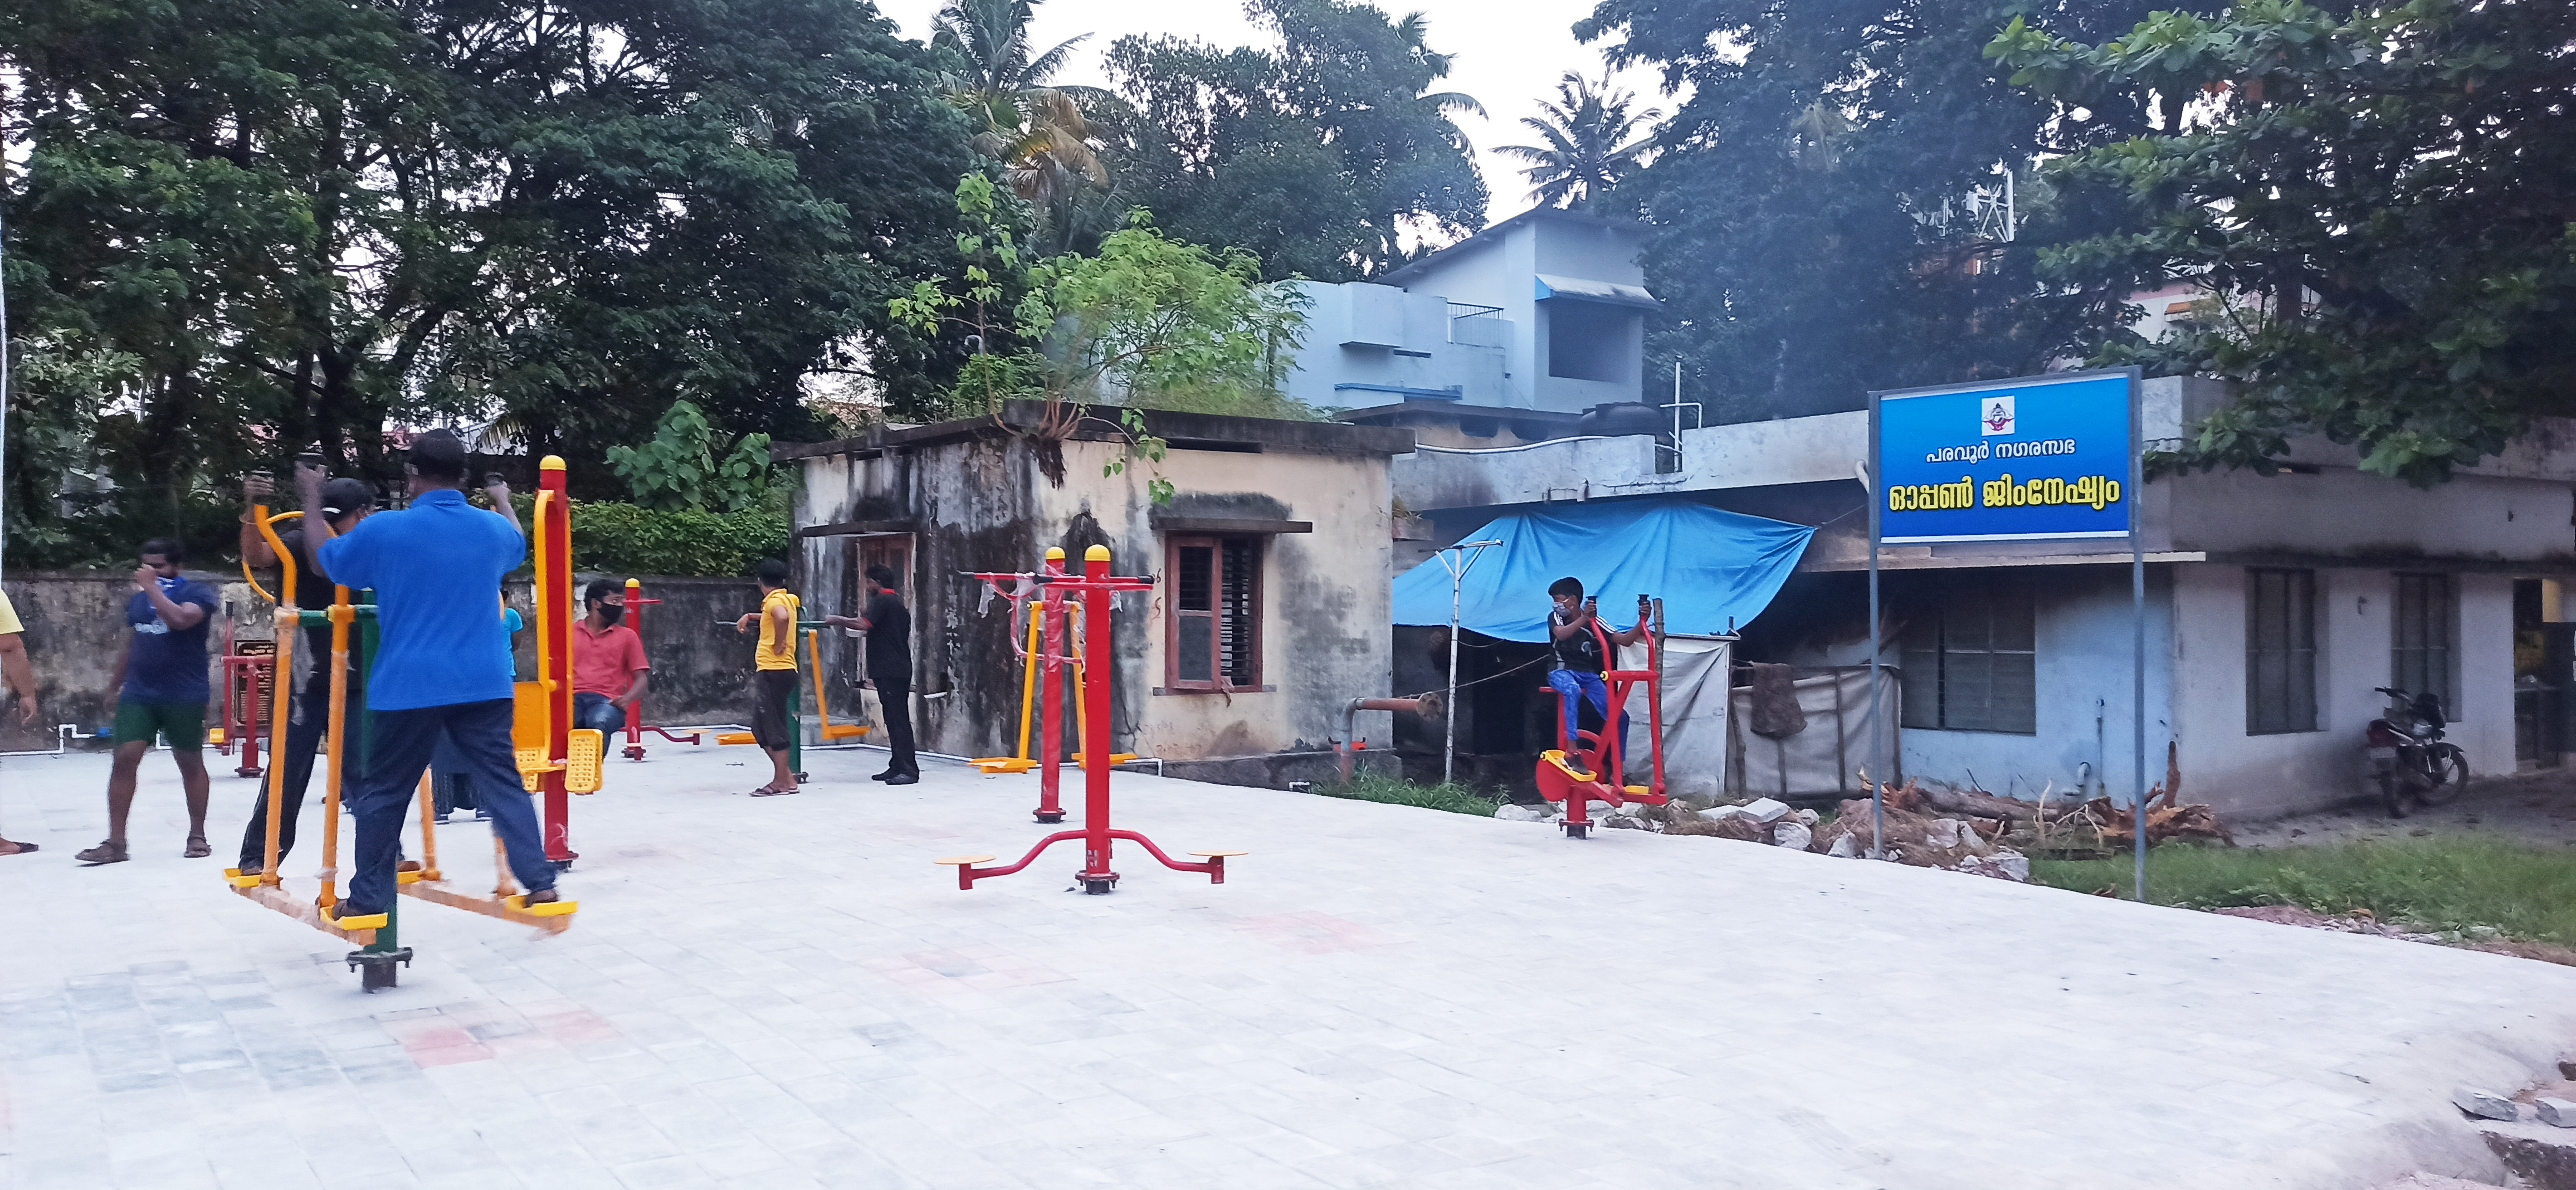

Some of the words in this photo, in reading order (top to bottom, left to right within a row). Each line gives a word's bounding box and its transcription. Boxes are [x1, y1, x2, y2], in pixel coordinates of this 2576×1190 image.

[1920, 438, 1992, 469] പരവൂർ
[1992, 434, 2077, 461] നഗരസഭ
[1886, 472, 1976, 515] ഓപ്പൺ
[1978, 467, 2124, 515] ജിംനേഷ്യം